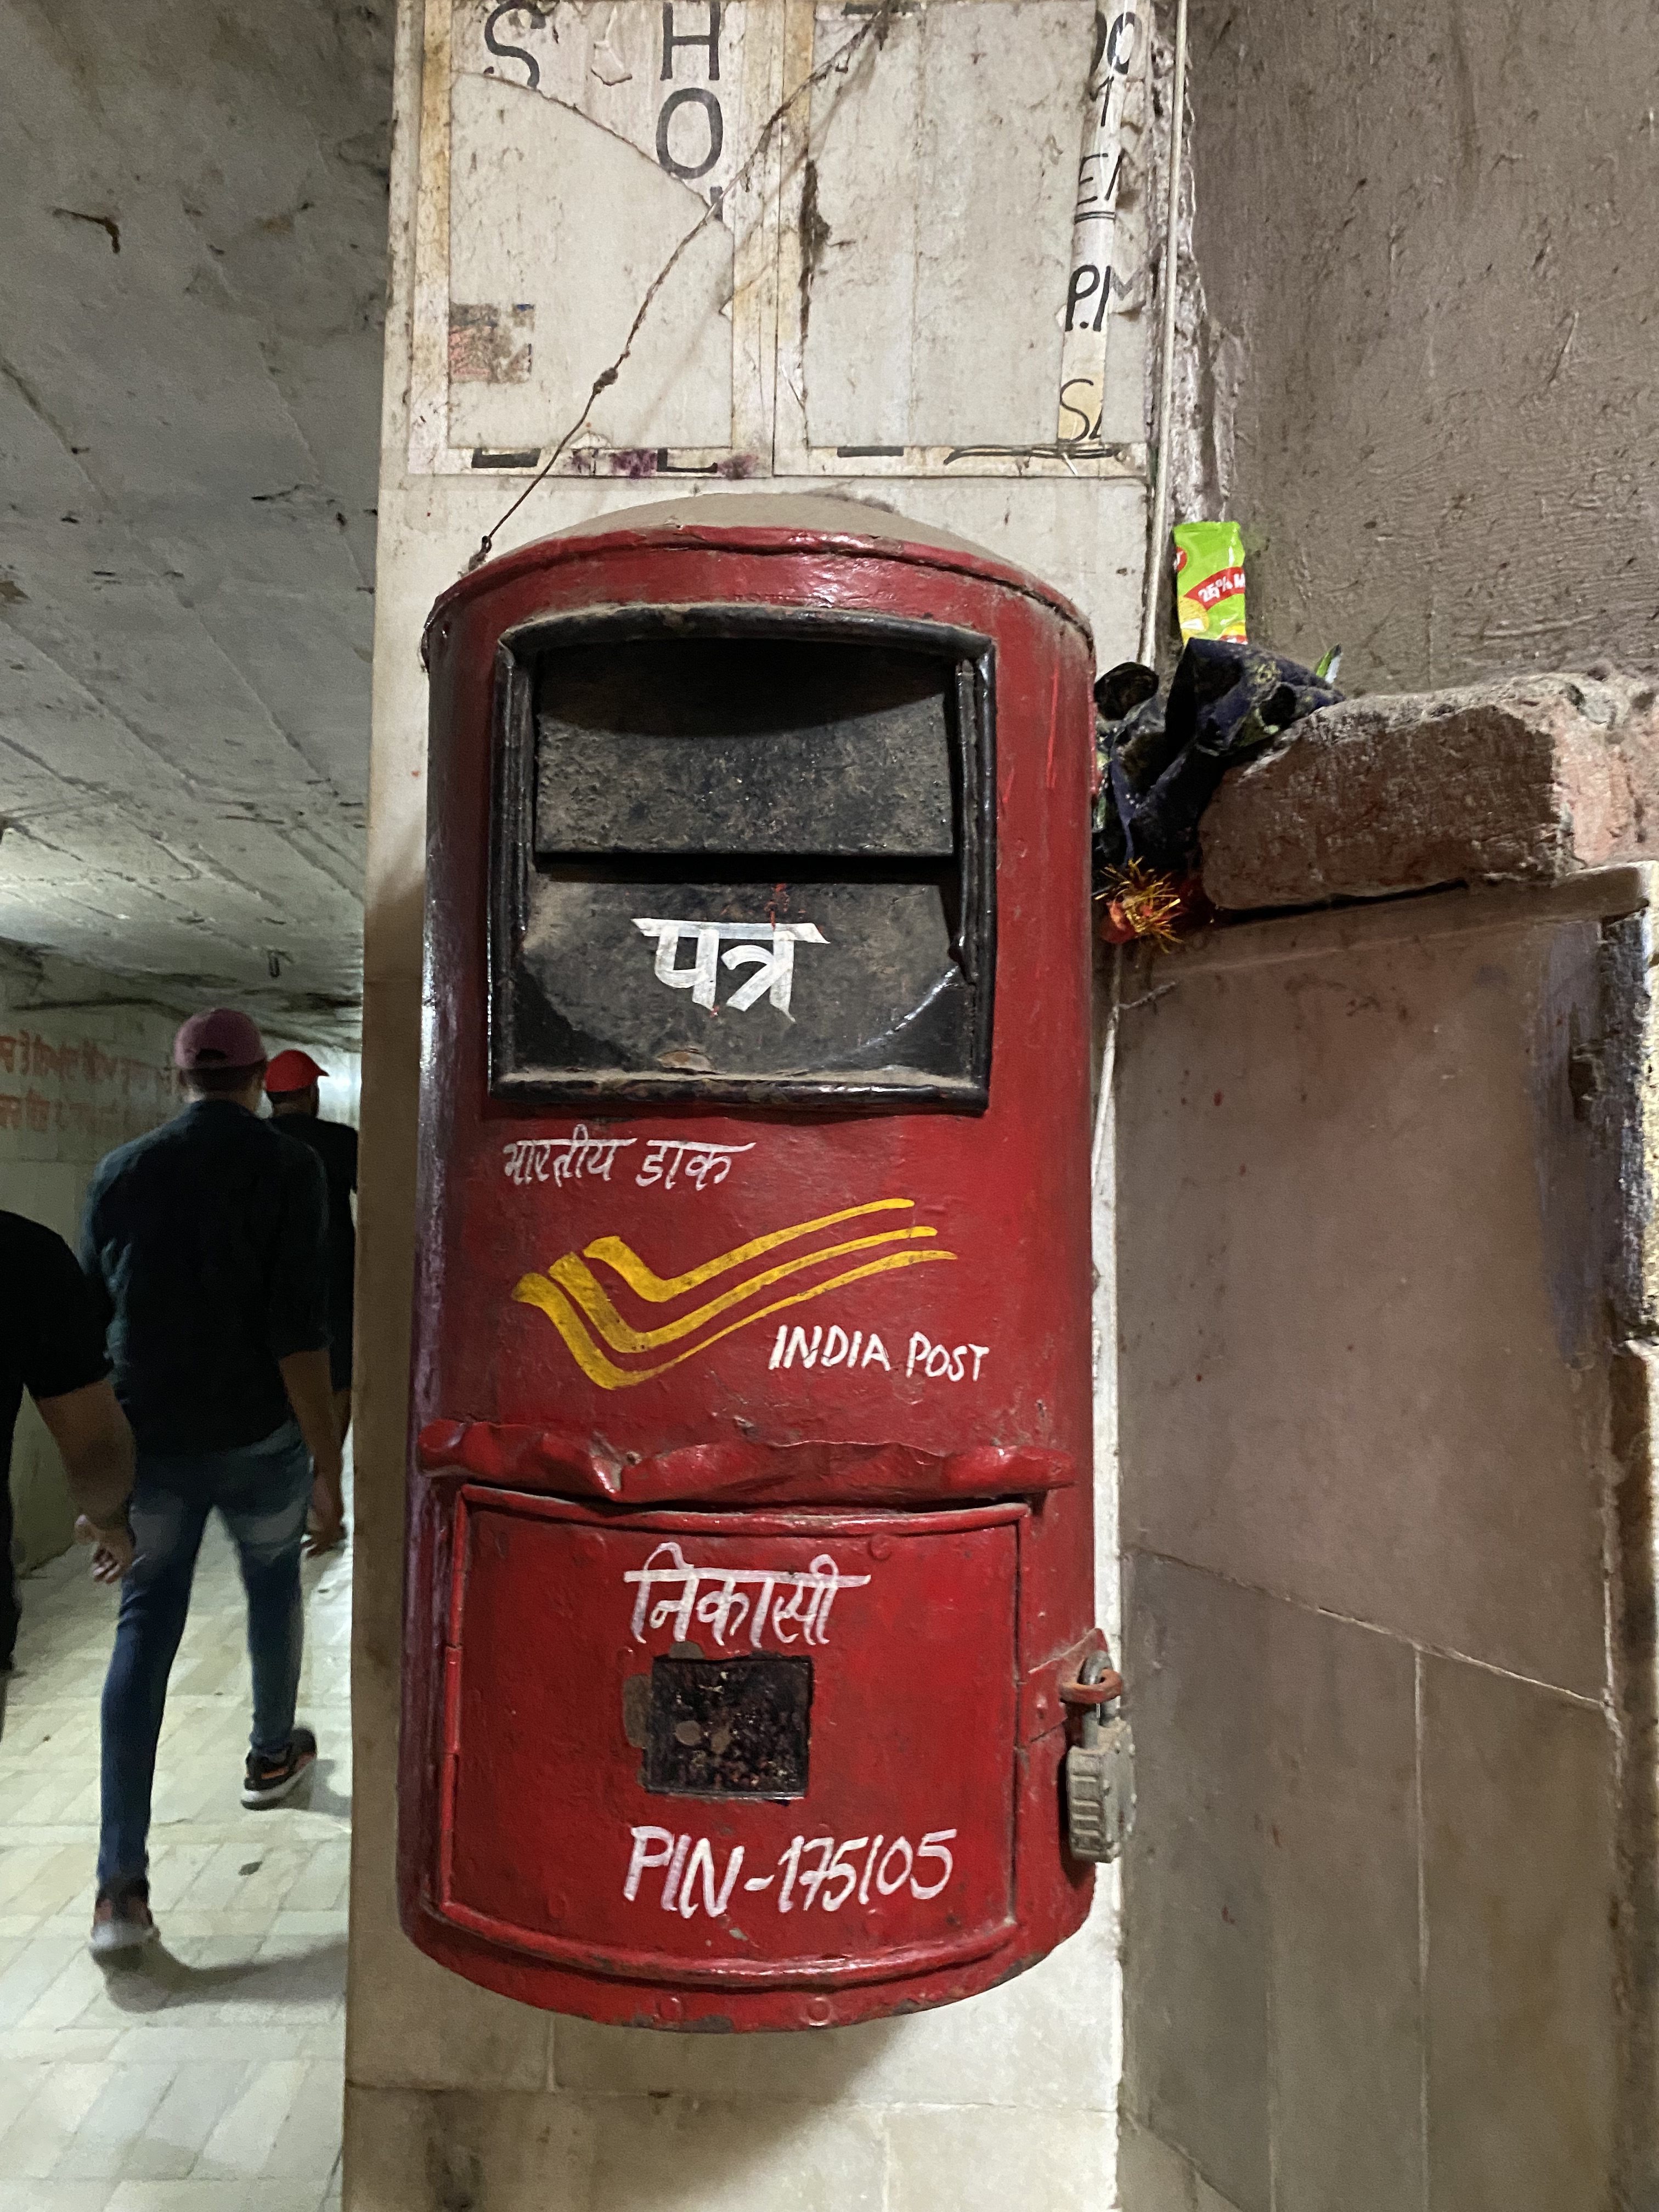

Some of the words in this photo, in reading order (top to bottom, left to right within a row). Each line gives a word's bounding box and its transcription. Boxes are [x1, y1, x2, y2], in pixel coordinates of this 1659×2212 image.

[632, 916, 836, 1031] पत्र
[494, 1119, 639, 1193] भारतीय
[628, 1131, 759, 1198] डाक
[765, 1321, 894, 1378] INDIA
[901, 1330, 996, 1384] POST
[621, 1535, 879, 1654] निकासी
[614, 1814, 962, 1925] PIN-175105